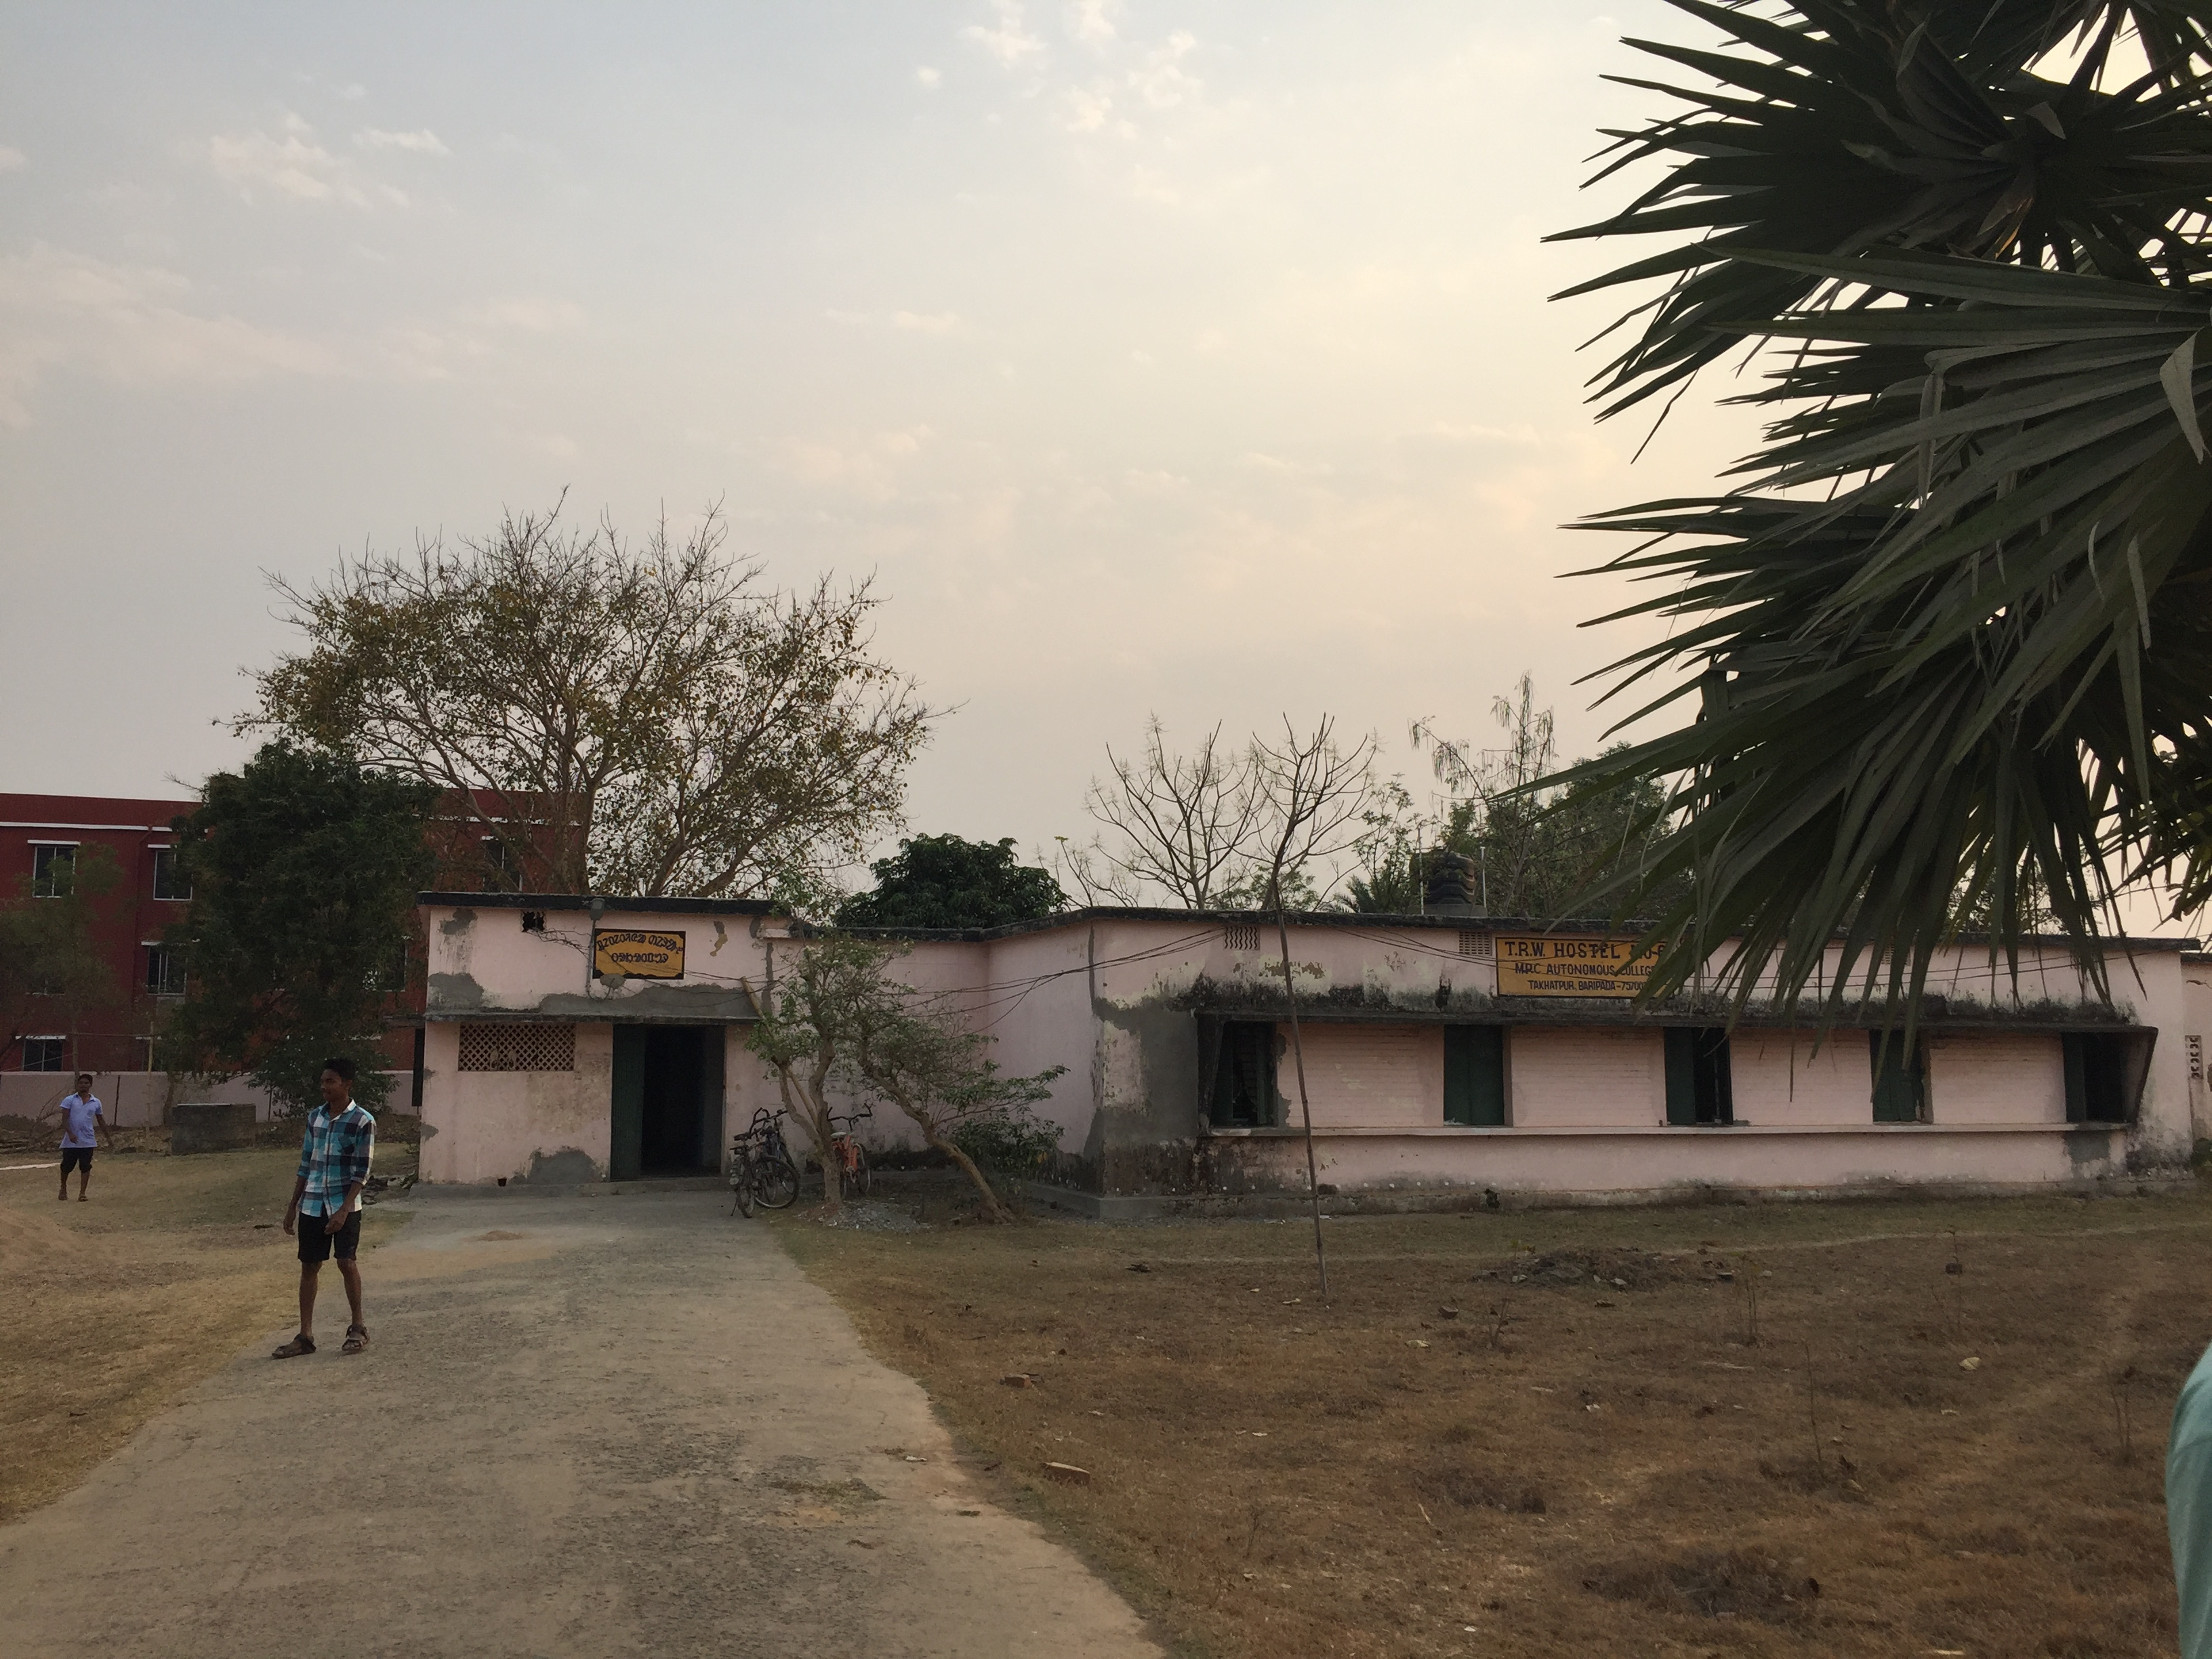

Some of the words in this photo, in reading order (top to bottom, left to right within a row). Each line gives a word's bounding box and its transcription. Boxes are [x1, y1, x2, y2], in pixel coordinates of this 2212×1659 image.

[1502, 937, 1549, 962] T.R.W.
[1551, 939, 1623, 962] HOSTEL
[1511, 958, 1544, 977] MRC
[1543, 959, 1618, 978] AUTONOMOUS
[1522, 974, 1577, 993] TAKHATPUR,
[1574, 977, 1616, 994] BARIPADA